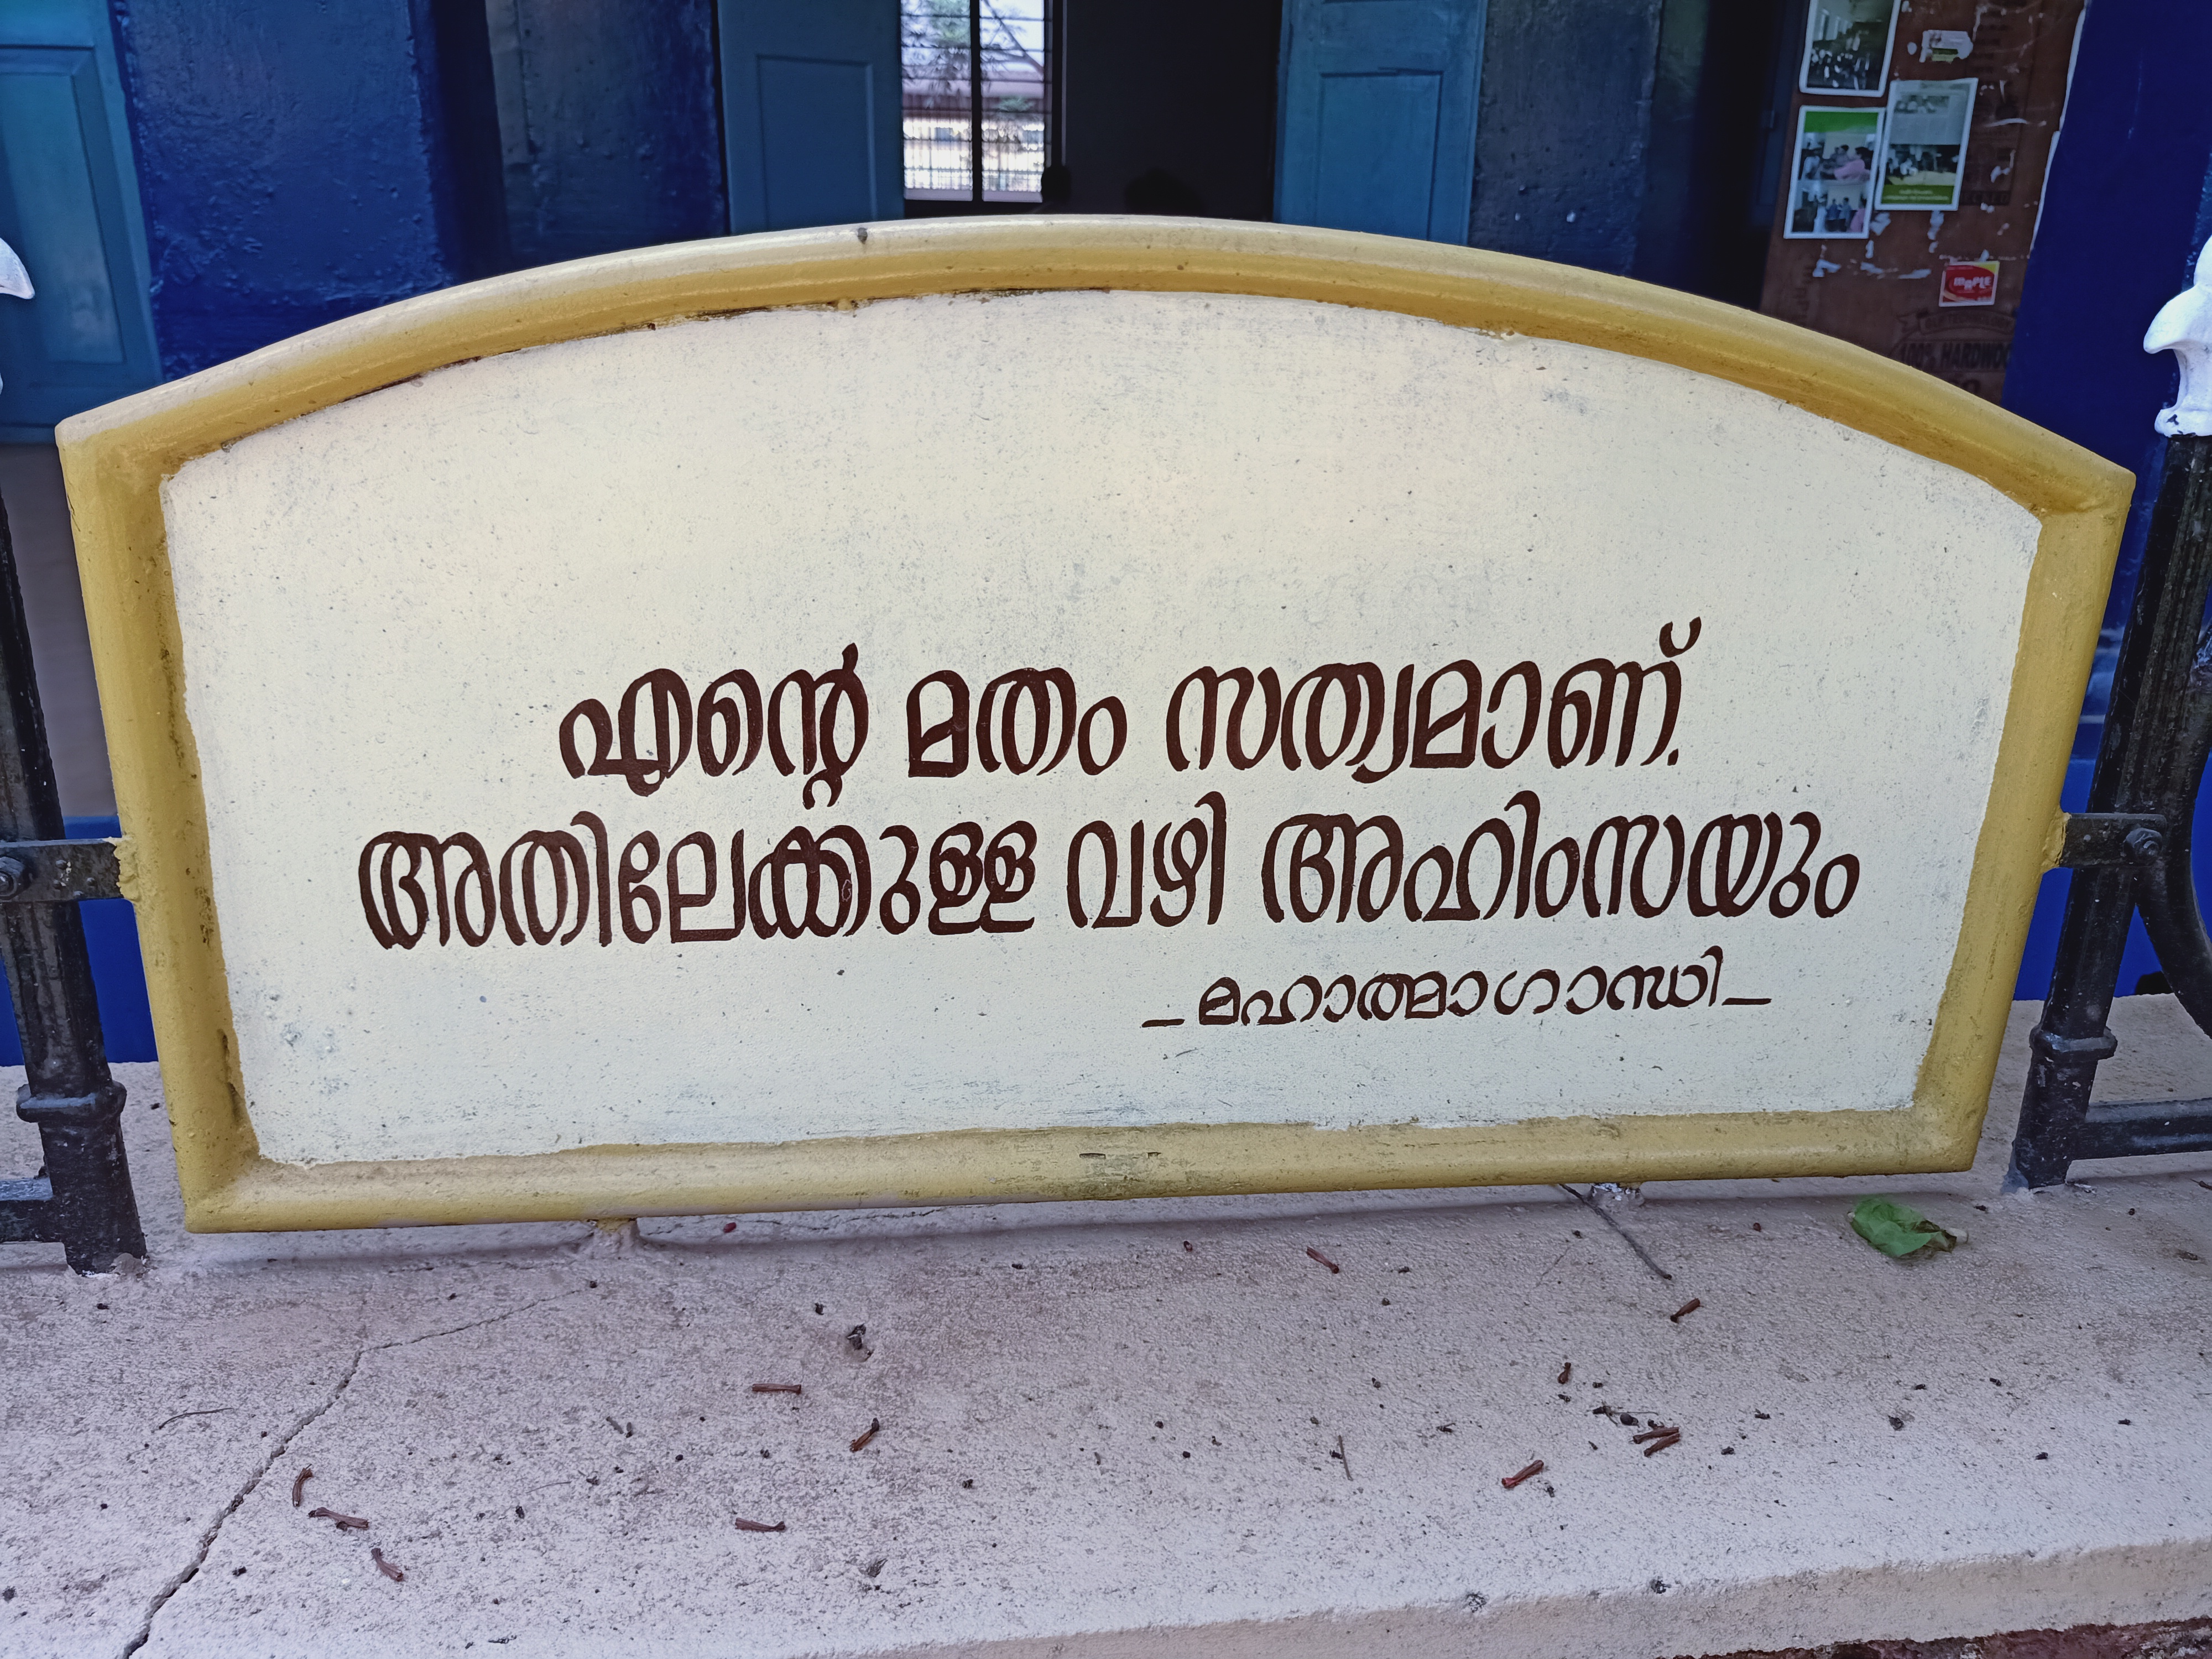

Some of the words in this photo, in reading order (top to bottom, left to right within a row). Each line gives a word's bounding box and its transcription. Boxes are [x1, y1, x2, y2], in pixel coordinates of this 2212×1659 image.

[551, 632, 881, 811] എൻ്റെ
[890, 656, 1137, 796] മതം
[1155, 613, 1709, 785] സത്യമാണ്
[359, 805, 1044, 953] അതിലേക്കുള്ള
[1061, 781, 1229, 936] വഴി
[1256, 787, 1865, 926] അഹിംസയും
[1193, 941, 1729, 1029] മഹാത്മാഗാന്ധി